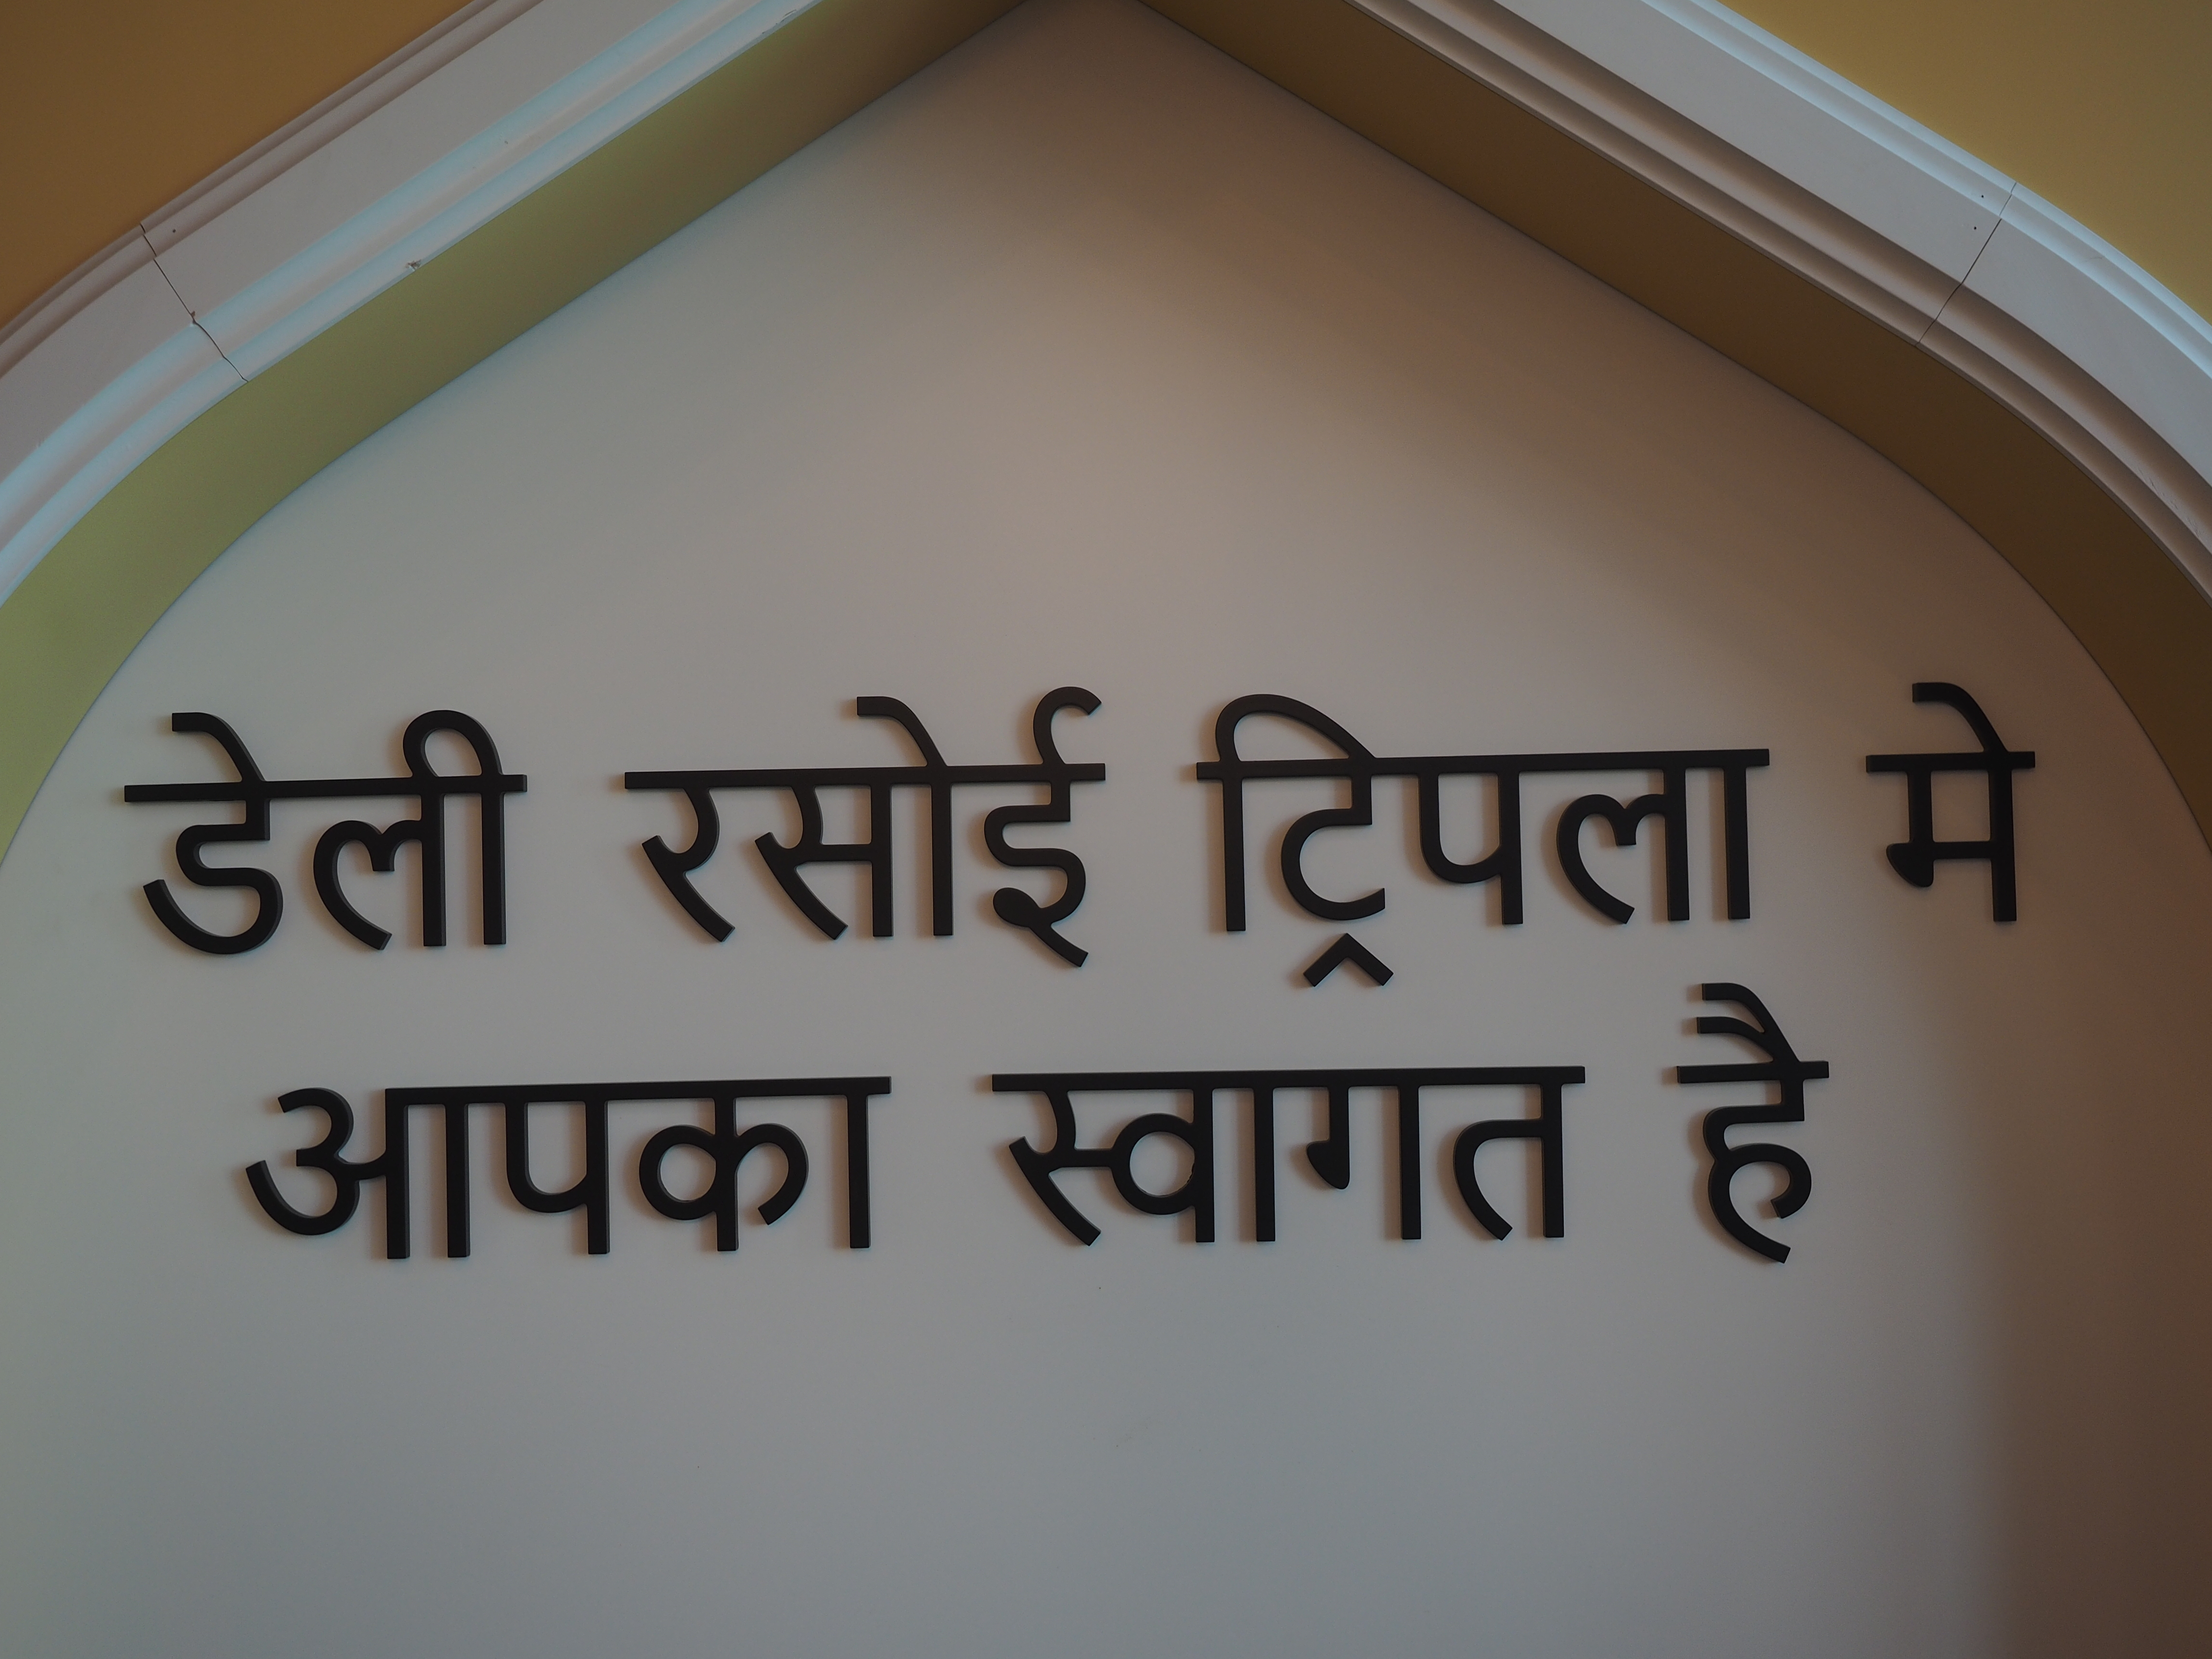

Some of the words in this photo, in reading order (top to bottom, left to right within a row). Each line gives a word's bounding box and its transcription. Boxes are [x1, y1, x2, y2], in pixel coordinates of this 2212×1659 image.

[91, 681, 560, 983] डेली
[619, 679, 1115, 975] रसोई
[1180, 685, 1772, 995] ट्रिपला
[1838, 672, 2058, 944] मे
[230, 1072, 897, 1259] आपका
[990, 1058, 1596, 1251] स्‍वागत
[1669, 974, 1834, 1274] है